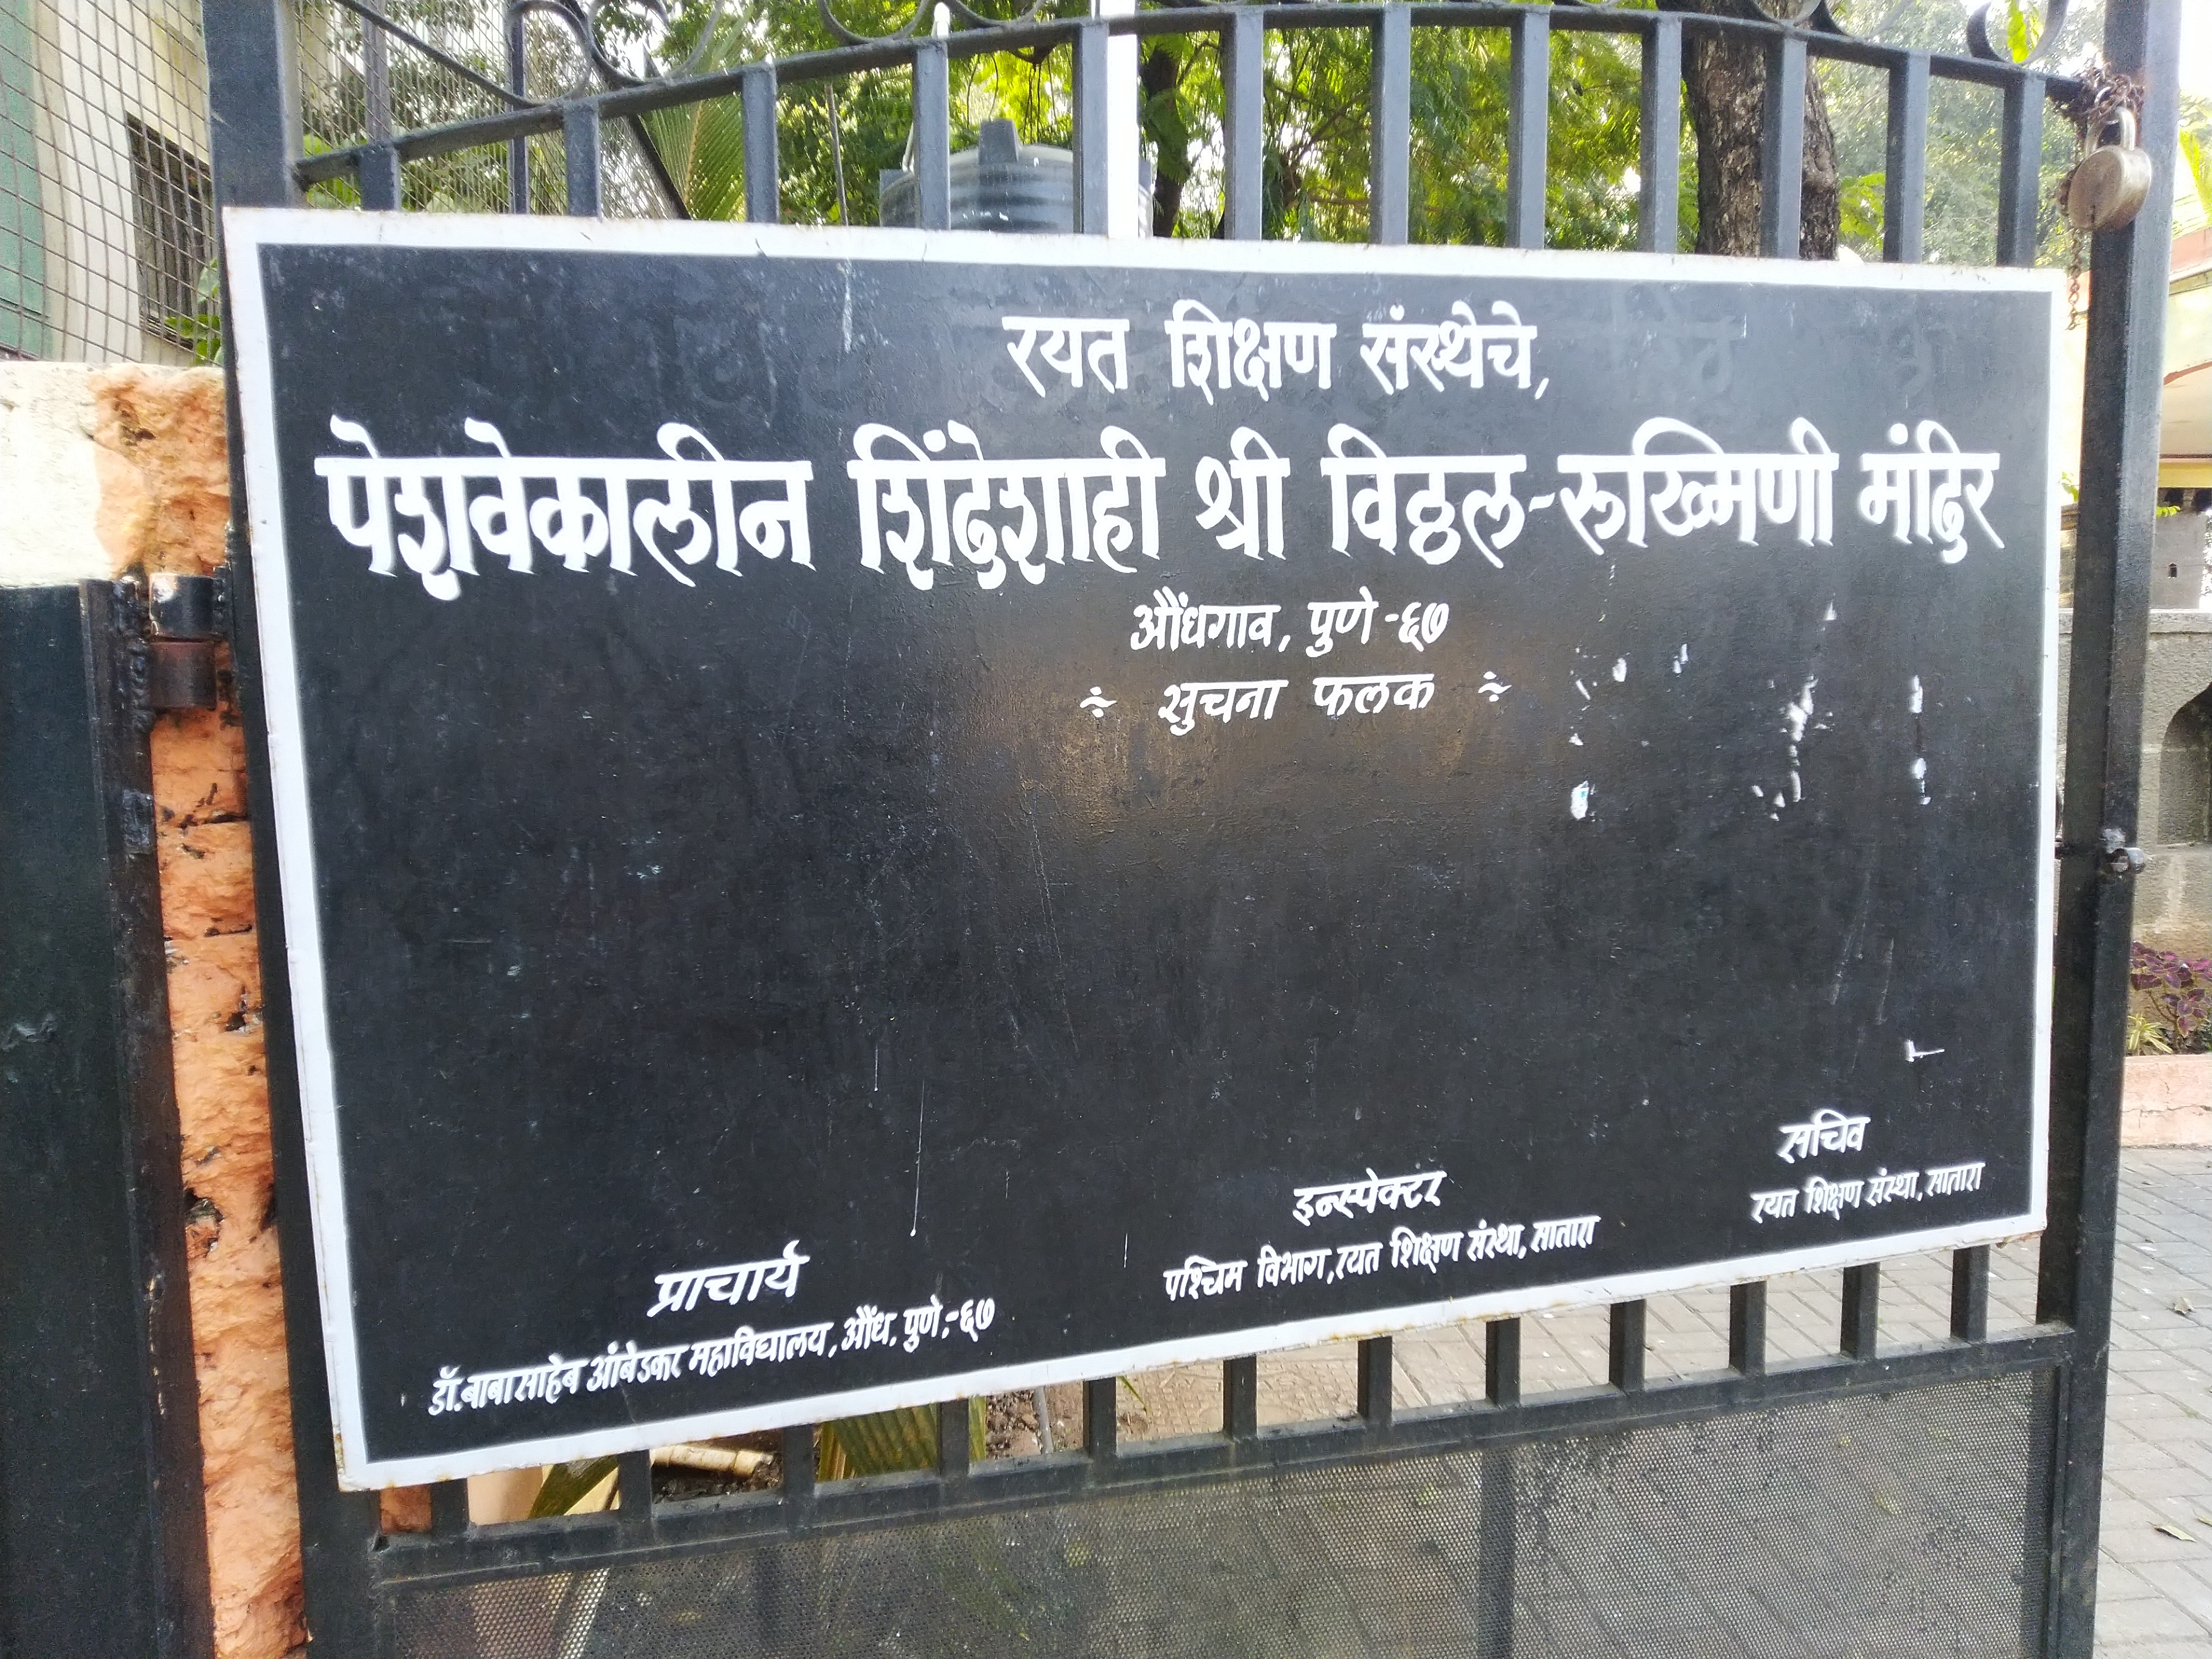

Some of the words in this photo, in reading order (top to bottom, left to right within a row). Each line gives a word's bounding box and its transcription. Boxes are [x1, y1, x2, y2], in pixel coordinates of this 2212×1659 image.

[994, 309, 1137, 404] रयत
[1149, 290, 1343, 409] शिक्षण
[1358, 295, 1547, 401] संस्‍थेचे
[307, 400, 822, 606] पेशवेकलीन
[825, 399, 1175, 592] शिंदेशाही
[1182, 428, 1302, 566] श्री
[1313, 421, 1538, 582] विठ्ठल
[1547, 410, 1849, 572] रुख्मिणी
[1850, 416, 2013, 572] मंदिर
[1124, 591, 1280, 660] औंधगाव
[1296, 578, 1385, 667] पुणे
[1390, 592, 1461, 657] ६७
[1151, 672, 1285, 739] सुचना
[1307, 667, 1438, 726] फलक
[1768, 1102, 1871, 1167] सचिव
[639, 1232, 815, 1322] प्राचार्य
[1157, 1246, 1253, 1305] पश्चिम
[1246, 1240, 1335, 1296] विभाग,
[1324, 1238, 1380, 1285] रयत
[1289, 1161, 1451, 1231] इन्स्पेक्टर
[1380, 1222, 1467, 1280] शिक्षण
[1458, 1213, 1527, 1267] संस्था,
[1525, 1211, 1599, 1258] सातारा
[1741, 1181, 1799, 1231] रयत
[1799, 1170, 1866, 1222] शिक्षण
[1855, 1167, 1924, 1208] संस्था
[1923, 1159, 1986, 1200] सातारा
[421, 1358, 469, 1419] डॉ.
[458, 1346, 592, 1412] बाबासाहेब
[581, 1334, 689, 1394] आंबेडकर
[686, 1317, 835, 1380] महाविद्यालय
[836, 1298, 903, 1354] औंध,
[898, 1292, 946, 1360] पुणे
[954, 1285, 1001, 1347] ६७